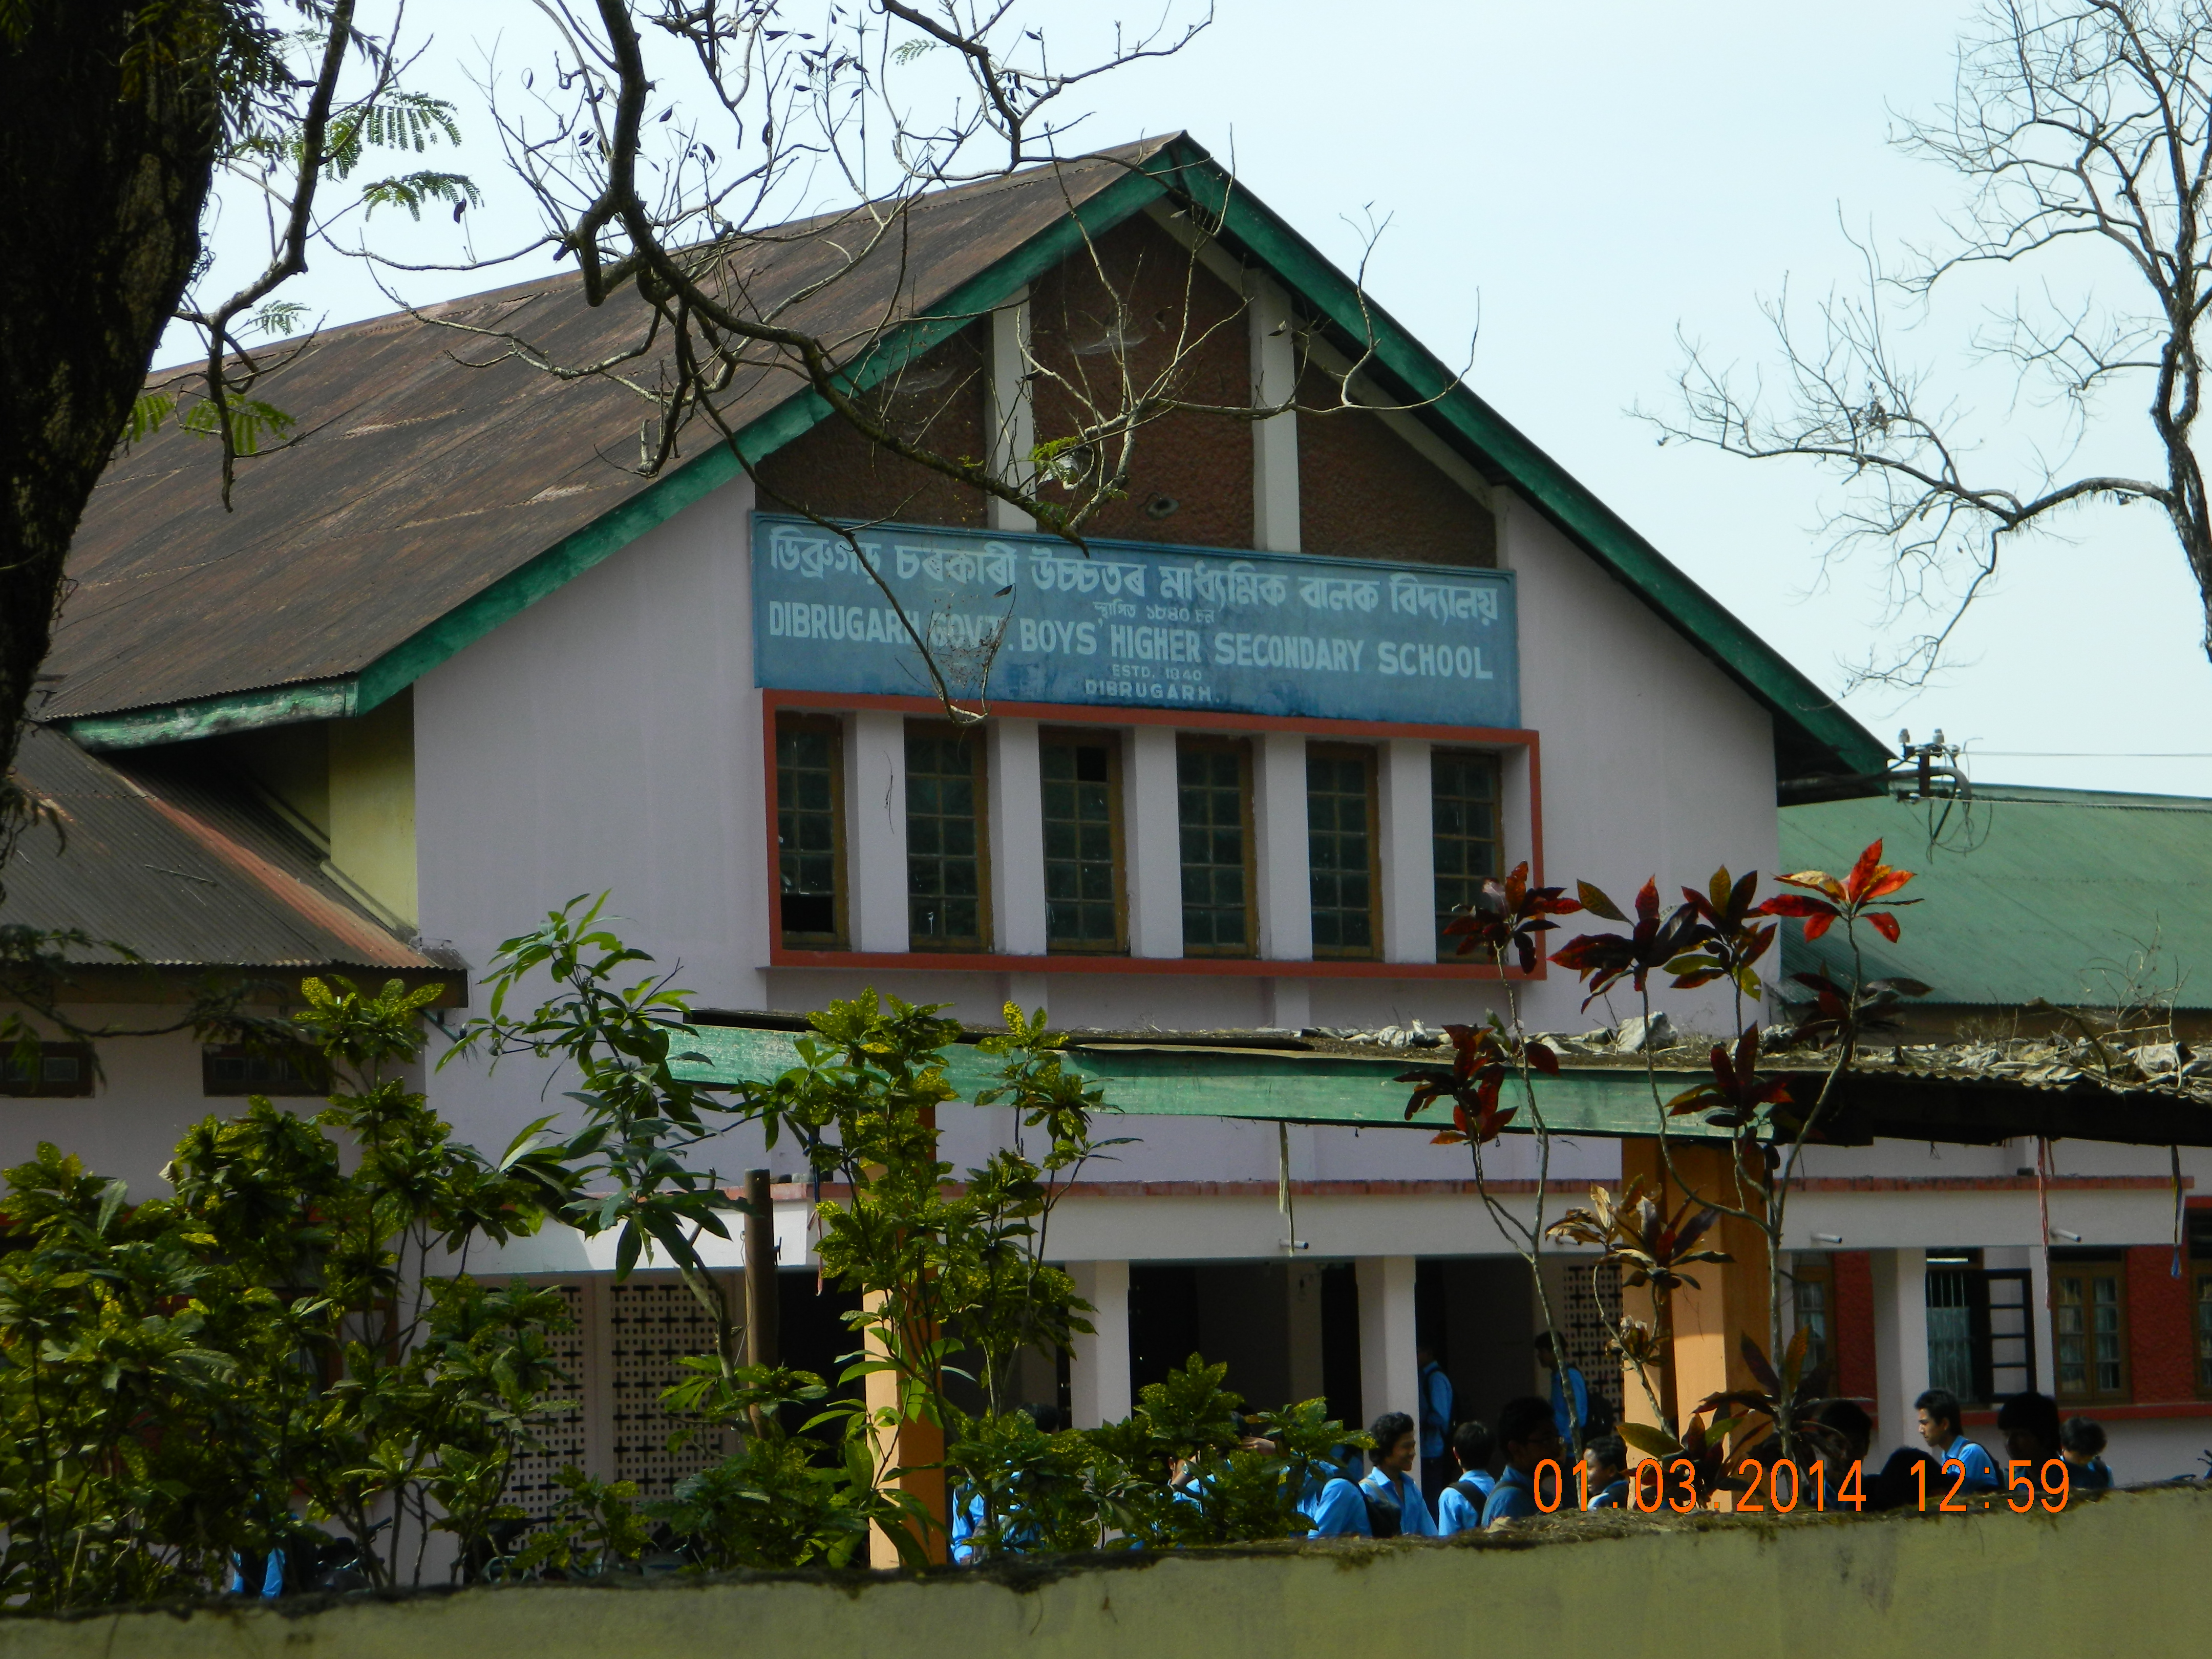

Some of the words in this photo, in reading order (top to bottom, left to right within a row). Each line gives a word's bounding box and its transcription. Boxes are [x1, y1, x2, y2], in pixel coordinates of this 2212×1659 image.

[760, 510, 890, 593] ডিব্ৰুগড়
[758, 598, 930, 651] DIBRUGARH
[883, 533, 1023, 592] চৰকাৰী
[925, 602, 1029, 661] GOVT.
[1008, 613, 1099, 663] BOYS
[1019, 536, 1151, 602] উচচতৰ
[1087, 591, 1142, 626] স্থাপিত
[1101, 656, 1158, 685] ESTD.
[1079, 675, 1218, 710] DIBRUGARH
[1107, 620, 1213, 666] HIGHER
[1138, 598, 1223, 628] ১৮৪০চন
[1159, 661, 1208, 690] 1840
[1155, 549, 1293, 614] মাধ্যমিক
[1206, 628, 1367, 677] SECONDARY
[1293, 572, 1382, 618] বালক
[1374, 635, 1494, 683] SCHOOL
[1377, 567, 1505, 629] বিদ্যালয়
[1522, 1450, 1873, 1520] 01.03.2014
[1899, 1446, 2078, 1518] 12:59